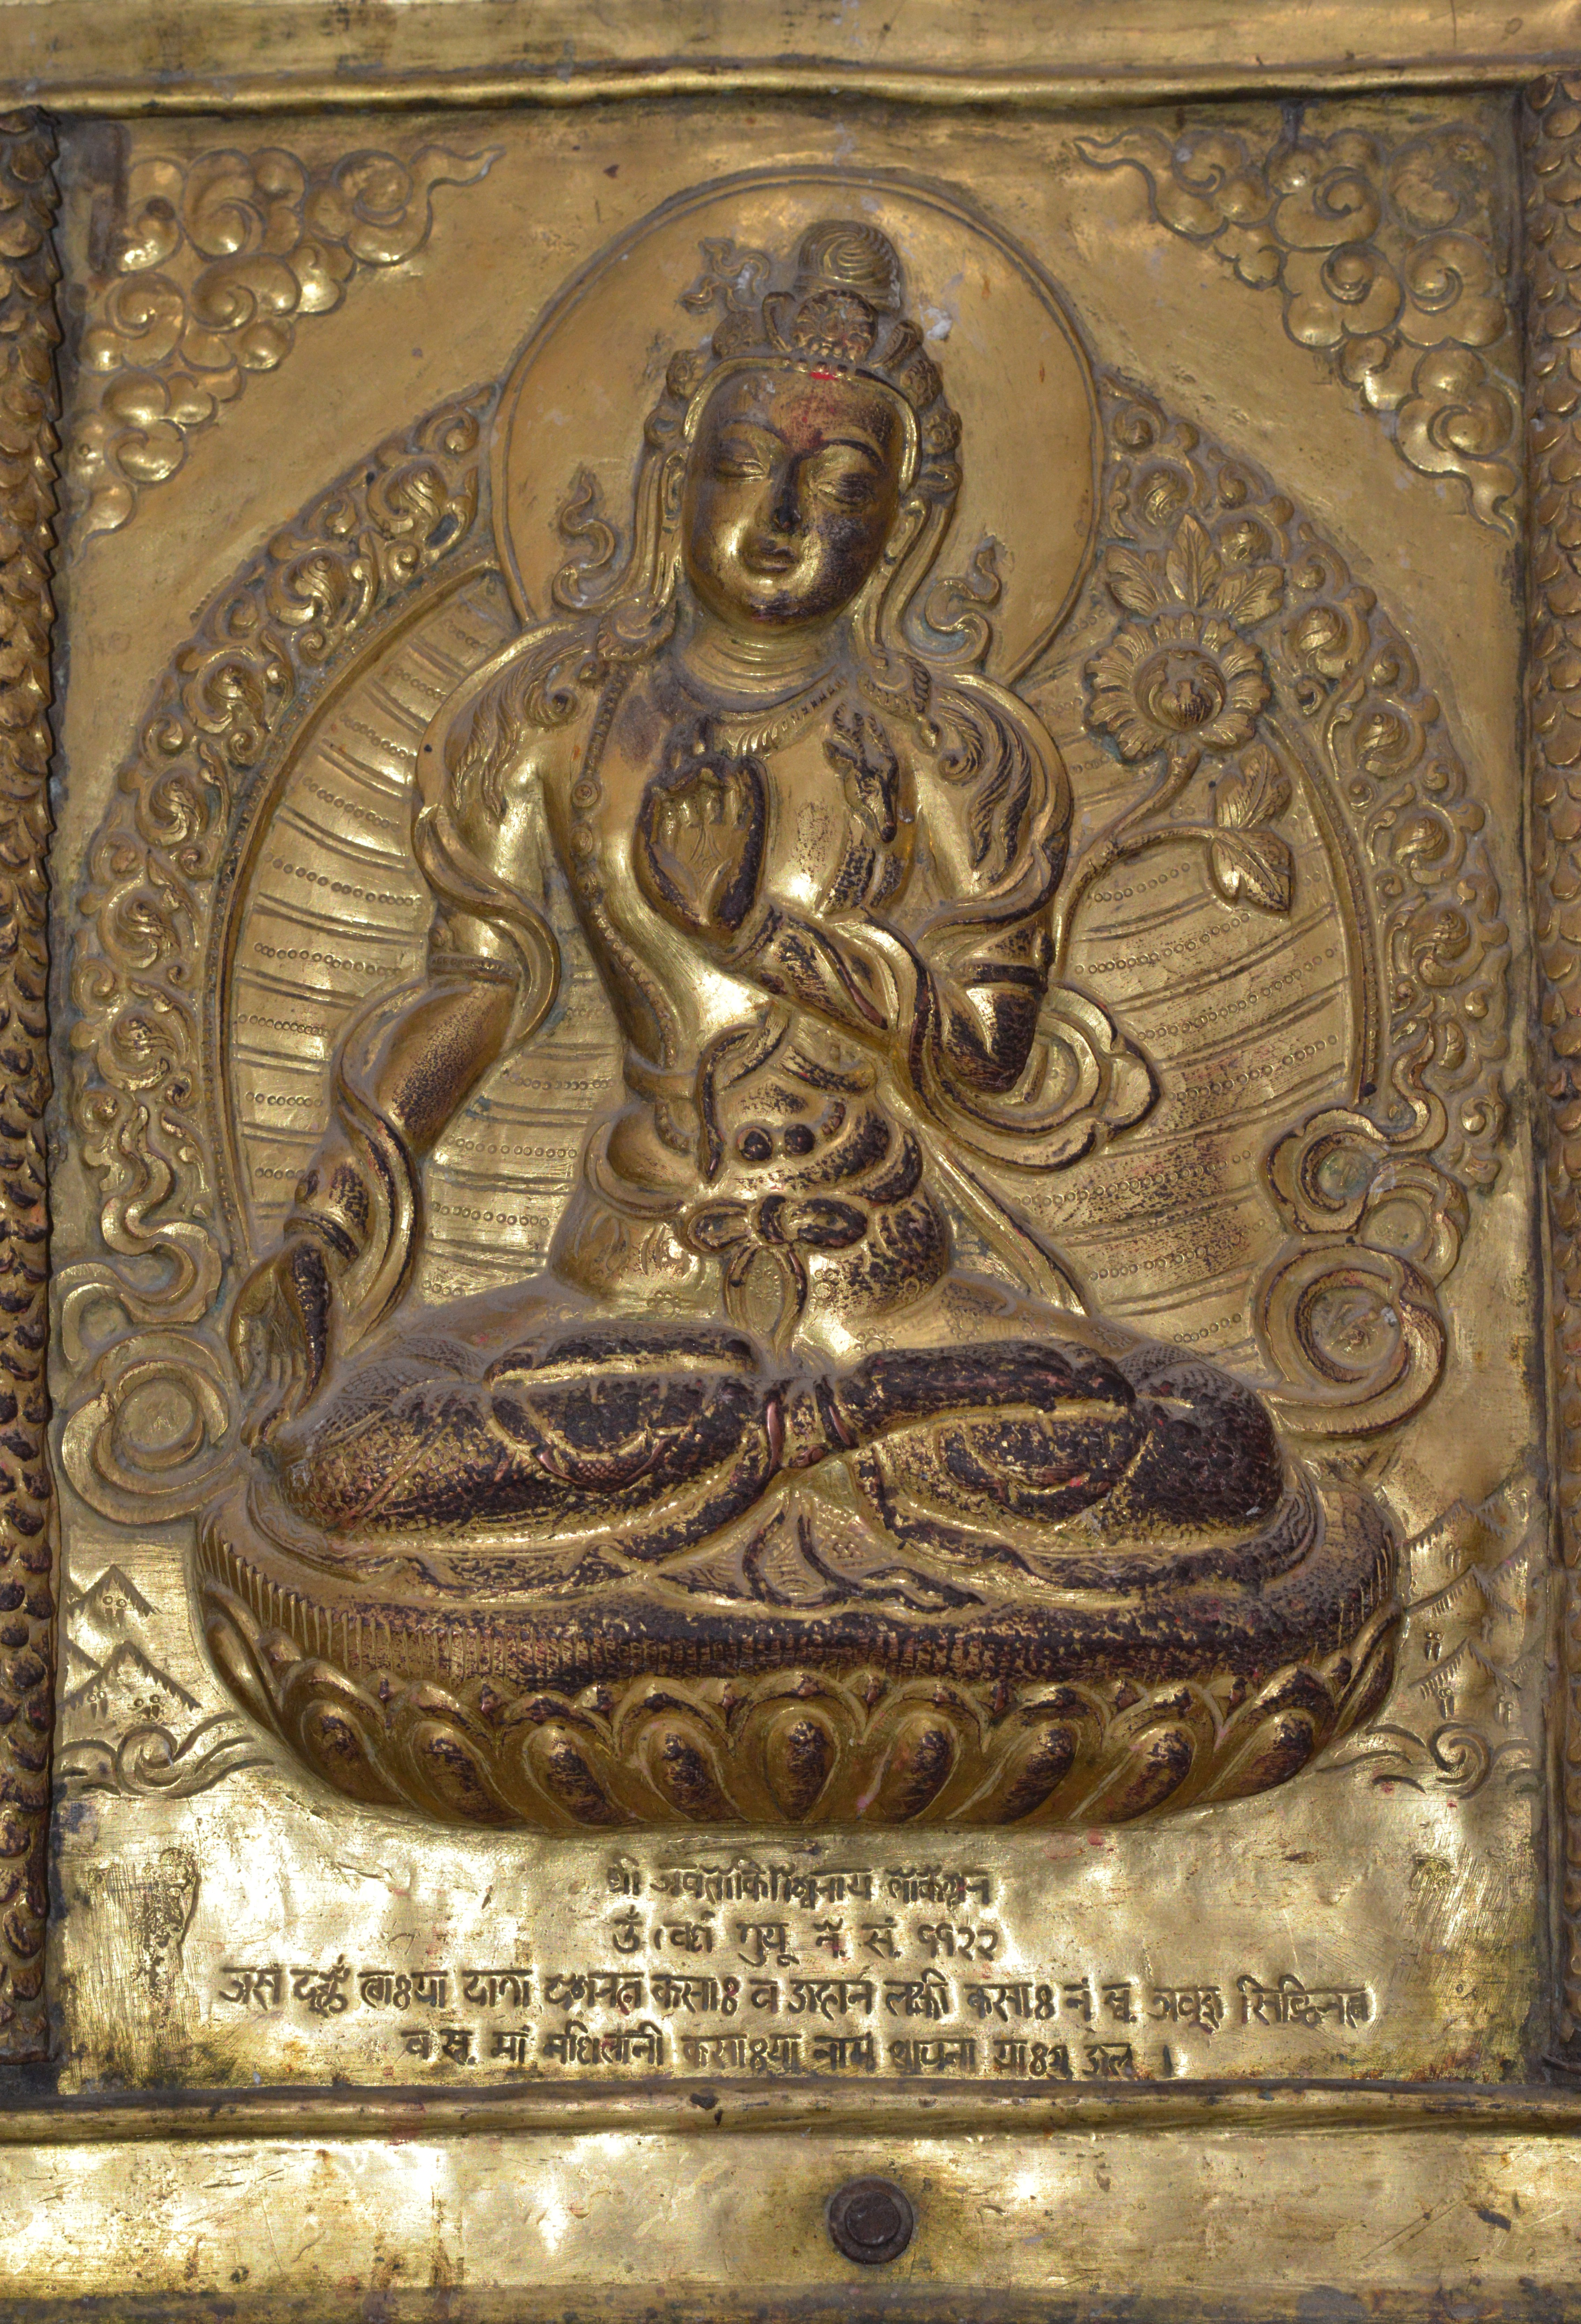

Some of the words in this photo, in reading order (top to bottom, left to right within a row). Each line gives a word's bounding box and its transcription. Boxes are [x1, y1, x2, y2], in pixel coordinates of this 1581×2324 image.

[601, 1847, 646, 1905] द्यी
[611, 1901, 648, 1960] उँ
[654, 1906, 723, 1958] ।वाँ
[810, 1917, 849, 1961] न.
[859, 1912, 904, 1963] सं.
[916, 1921, 999, 1965] 9922
[218, 1968, 290, 2015] स
[650, 1970, 745, 2021] कसा 8
[745, 1976, 782, 2016] व
[964, 1980, 1059, 2025] कसा 8
[1062, 1975, 1094, 2023] नं
[1094, 1979, 1139, 2030] स.
[1148, 1982, 1225, 2036] ञवूज्ञ
[398, 2027, 478, 2070] वस्र.
[488, 2023, 537, 2069] मां
[540, 2016, 665, 2069] मघिलानी
[680, 2028, 805, 2081] कसा 8 या
[809, 2029, 879, 2078] नाम
[984, 2036, 1073, 2078] या8
[1075, 2040, 1140, 2083] डाल